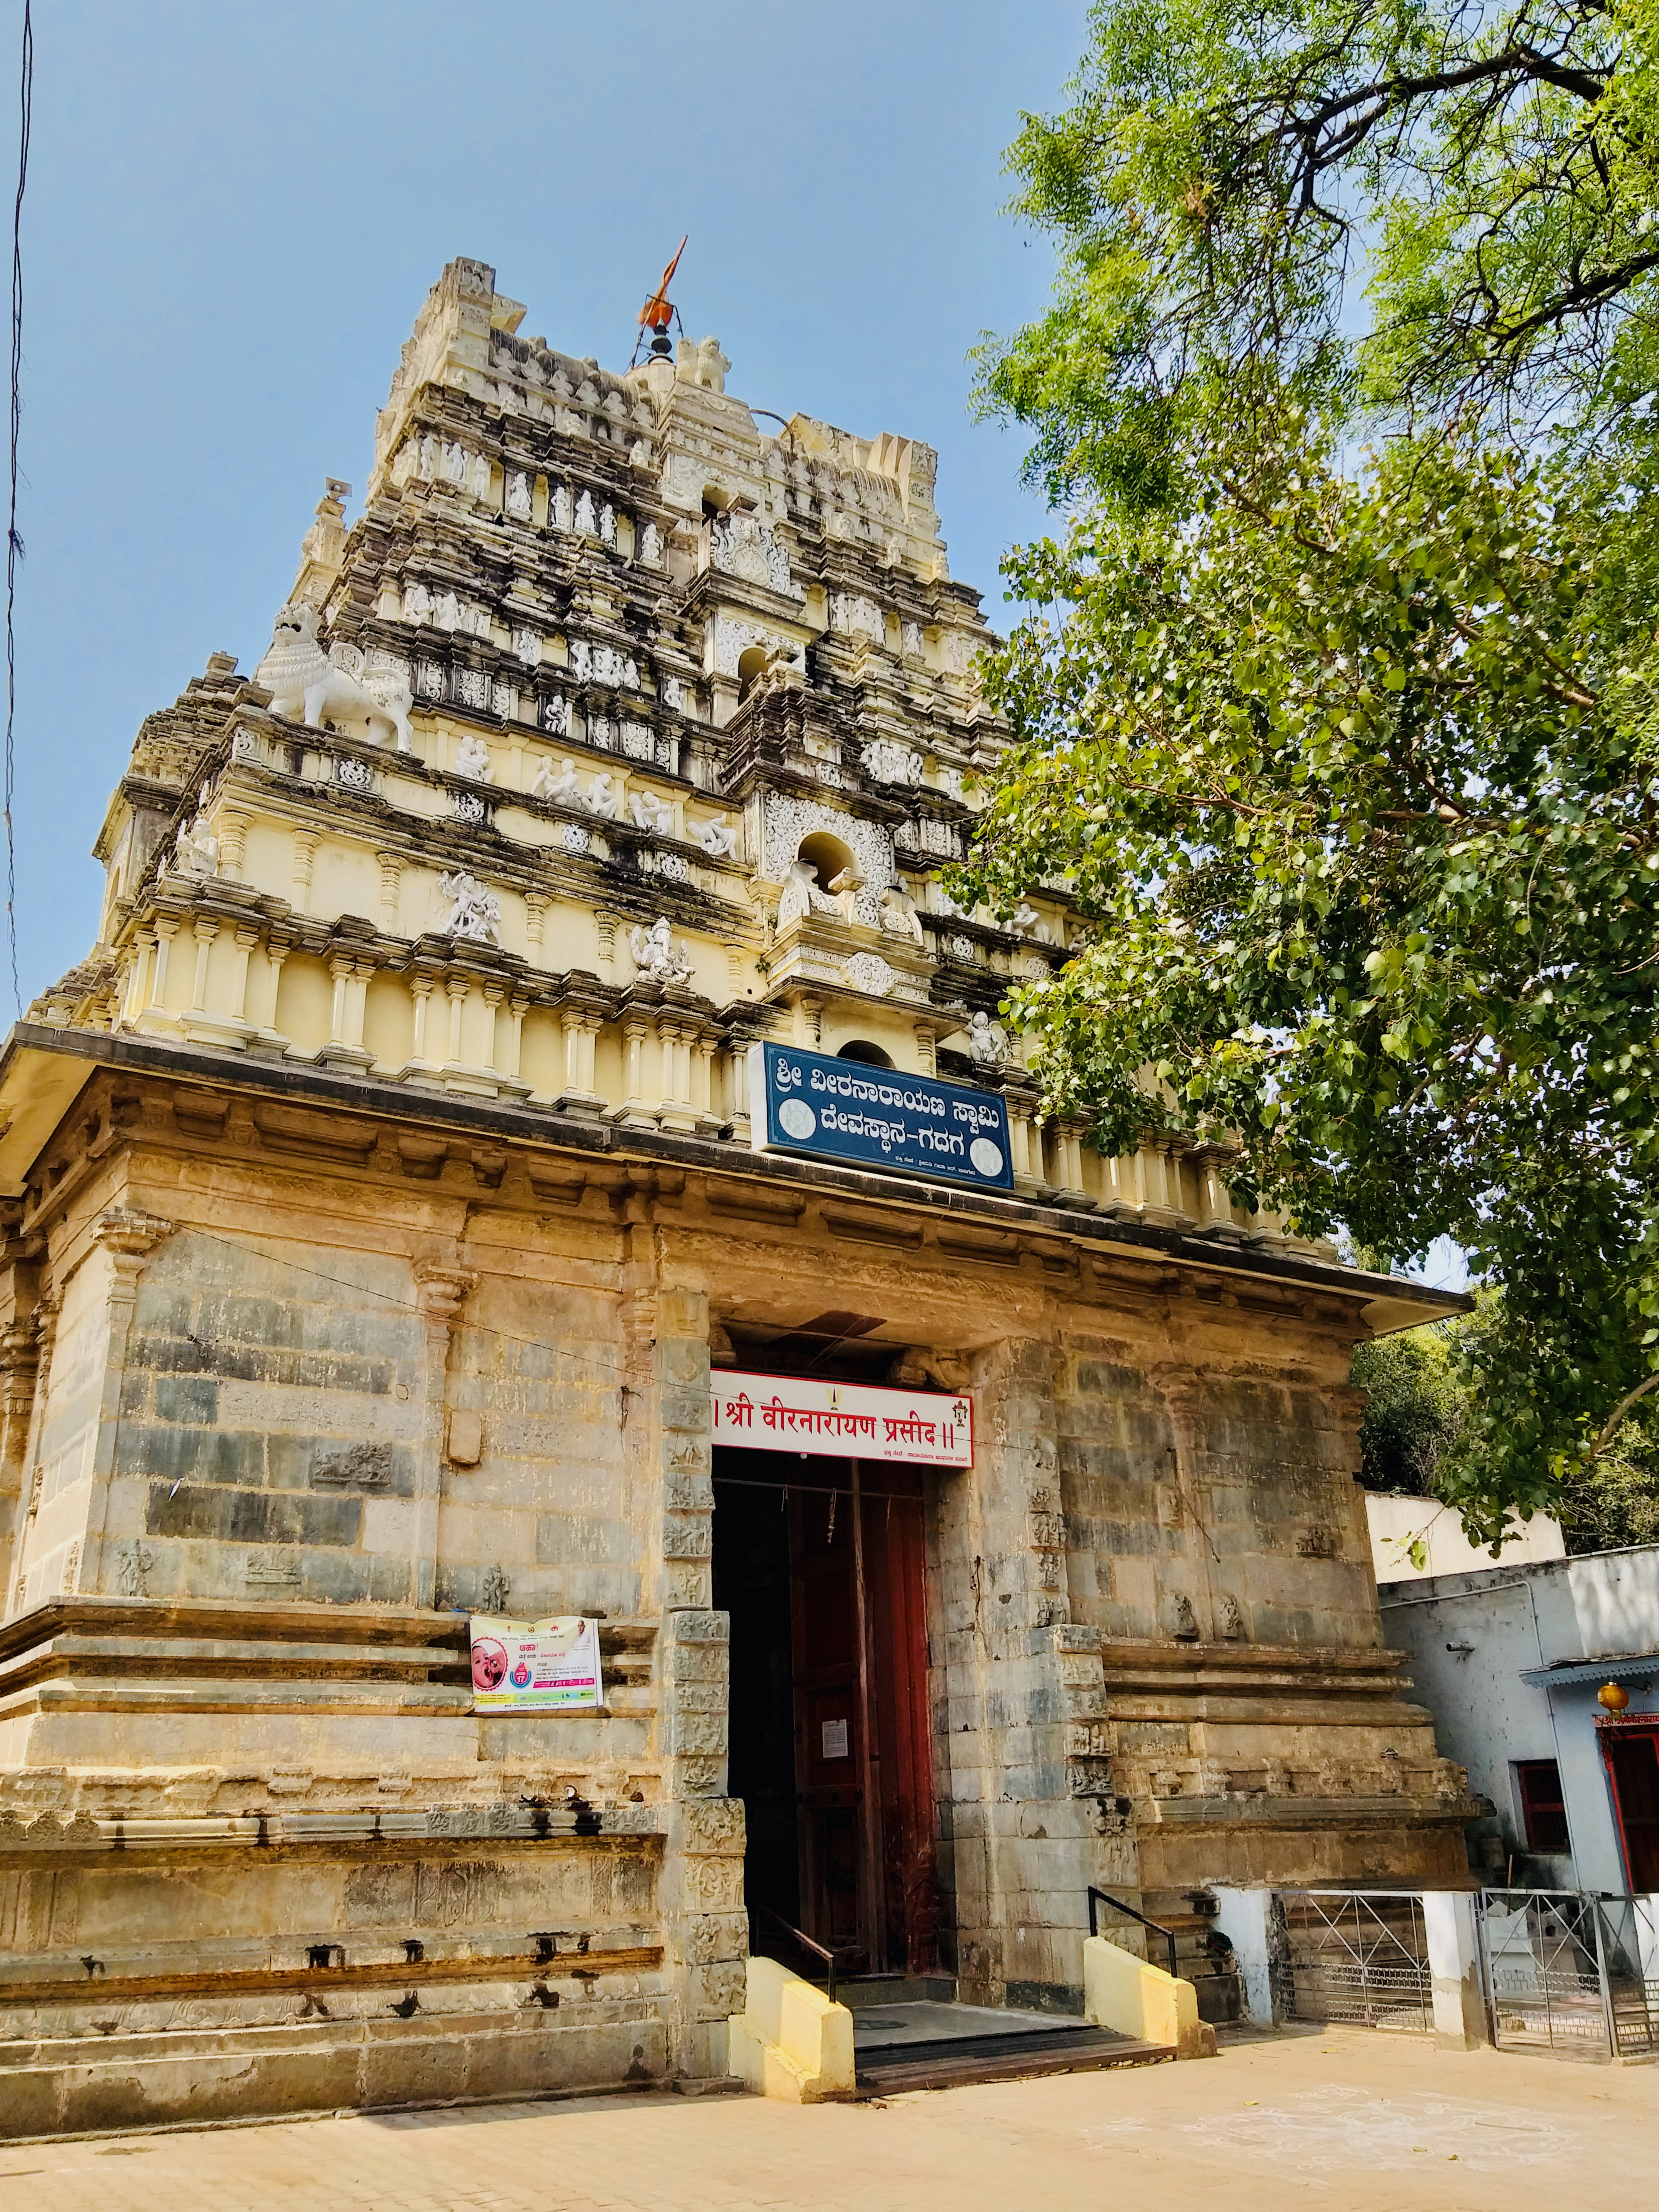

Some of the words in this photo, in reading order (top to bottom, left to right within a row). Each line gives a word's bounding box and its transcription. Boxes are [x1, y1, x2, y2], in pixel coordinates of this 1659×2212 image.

[773, 1054, 805, 1095] ಶ್ರೀ
[805, 1067, 947, 1119] ವೀರನಾರಾಯಣ
[818, 1100, 909, 1154] ದೇವಸ್ಧಾನ
[918, 1122, 966, 1158] ಗದಗ
[949, 1099, 1002, 1136] ಸ್ವಾಮಿ
[955, 1167, 979, 1177] ಬಾಡಿಗೇರ
[721, 1385, 756, 1429] श्री
[759, 1391, 879, 1440] वीरनारायण
[880, 1407, 937, 1448] प्रसीद
[905, 1449, 935, 1461] ಸಾಲಾಯಣಸಾ
[951, 1453, 970, 1463] ಪವಾರ
[515, 1650, 529, 1661] of
[517, 1641, 537, 1655] ಆಹಾ